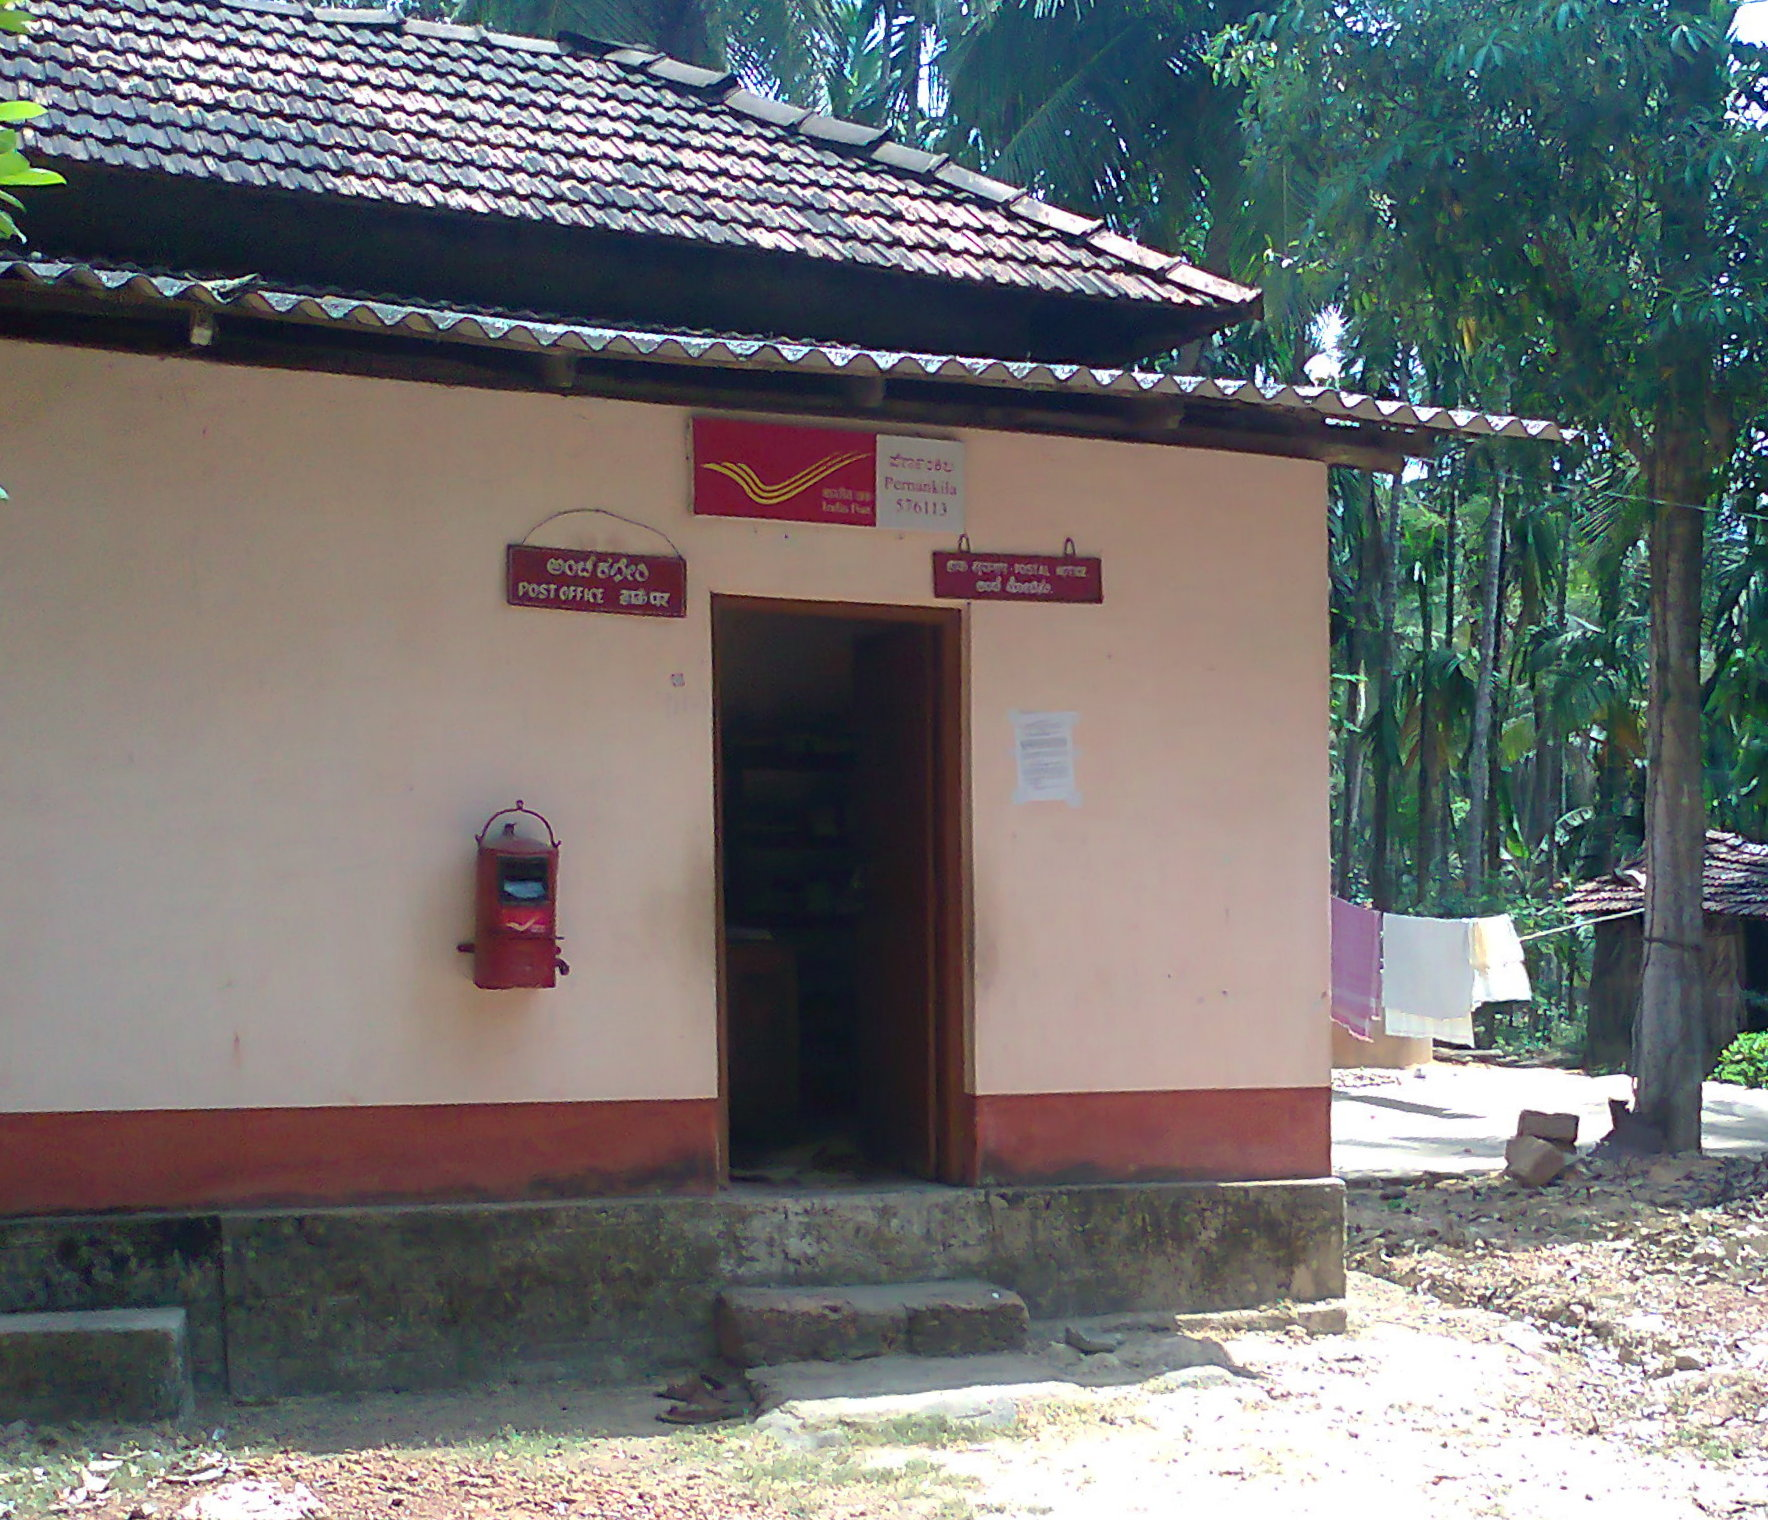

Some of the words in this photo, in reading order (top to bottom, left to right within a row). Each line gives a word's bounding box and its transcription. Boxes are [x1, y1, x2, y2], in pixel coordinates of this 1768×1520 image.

[540, 542, 656, 587] ಅಂಚಕಛೇರಿ
[1009, 558, 1056, 583] POSTAL
[507, 572, 563, 607] POST
[551, 580, 609, 611] OFFICE